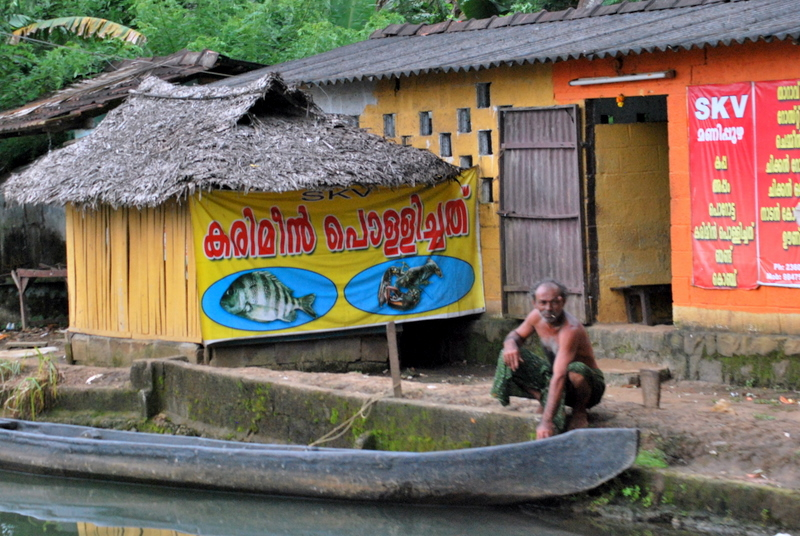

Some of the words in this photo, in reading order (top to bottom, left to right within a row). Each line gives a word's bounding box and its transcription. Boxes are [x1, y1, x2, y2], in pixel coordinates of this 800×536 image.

[691, 90, 749, 123] SKV
[772, 77, 800, 105] താറാവ്
[693, 120, 747, 150] മണിപ്പുഴ
[199, 201, 317, 264] കരിമീൻ
[321, 184, 472, 259] പൊള്ളിച്ചത്
[703, 199, 739, 224] പൊറോട്ട
[713, 215, 759, 248] പൊള്ളിച്ചത്
[709, 243, 737, 268] രങ്